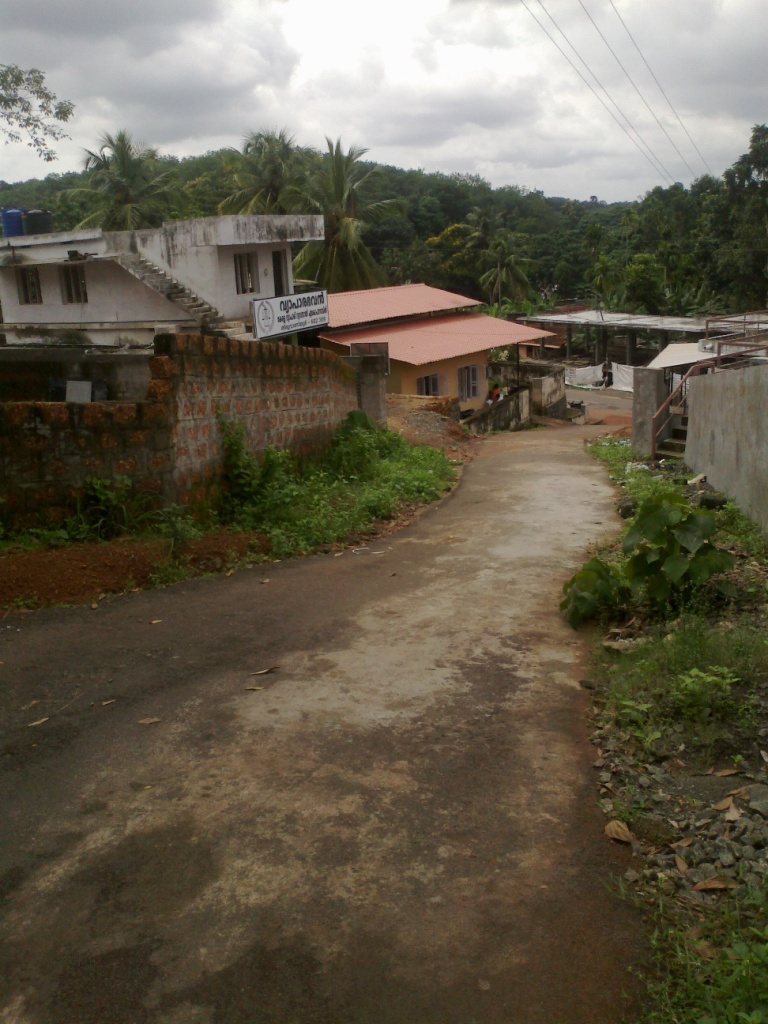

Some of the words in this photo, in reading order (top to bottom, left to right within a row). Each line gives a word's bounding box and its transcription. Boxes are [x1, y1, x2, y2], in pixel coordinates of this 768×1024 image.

[273, 286, 331, 313] വ്യാപാരഭവൻ